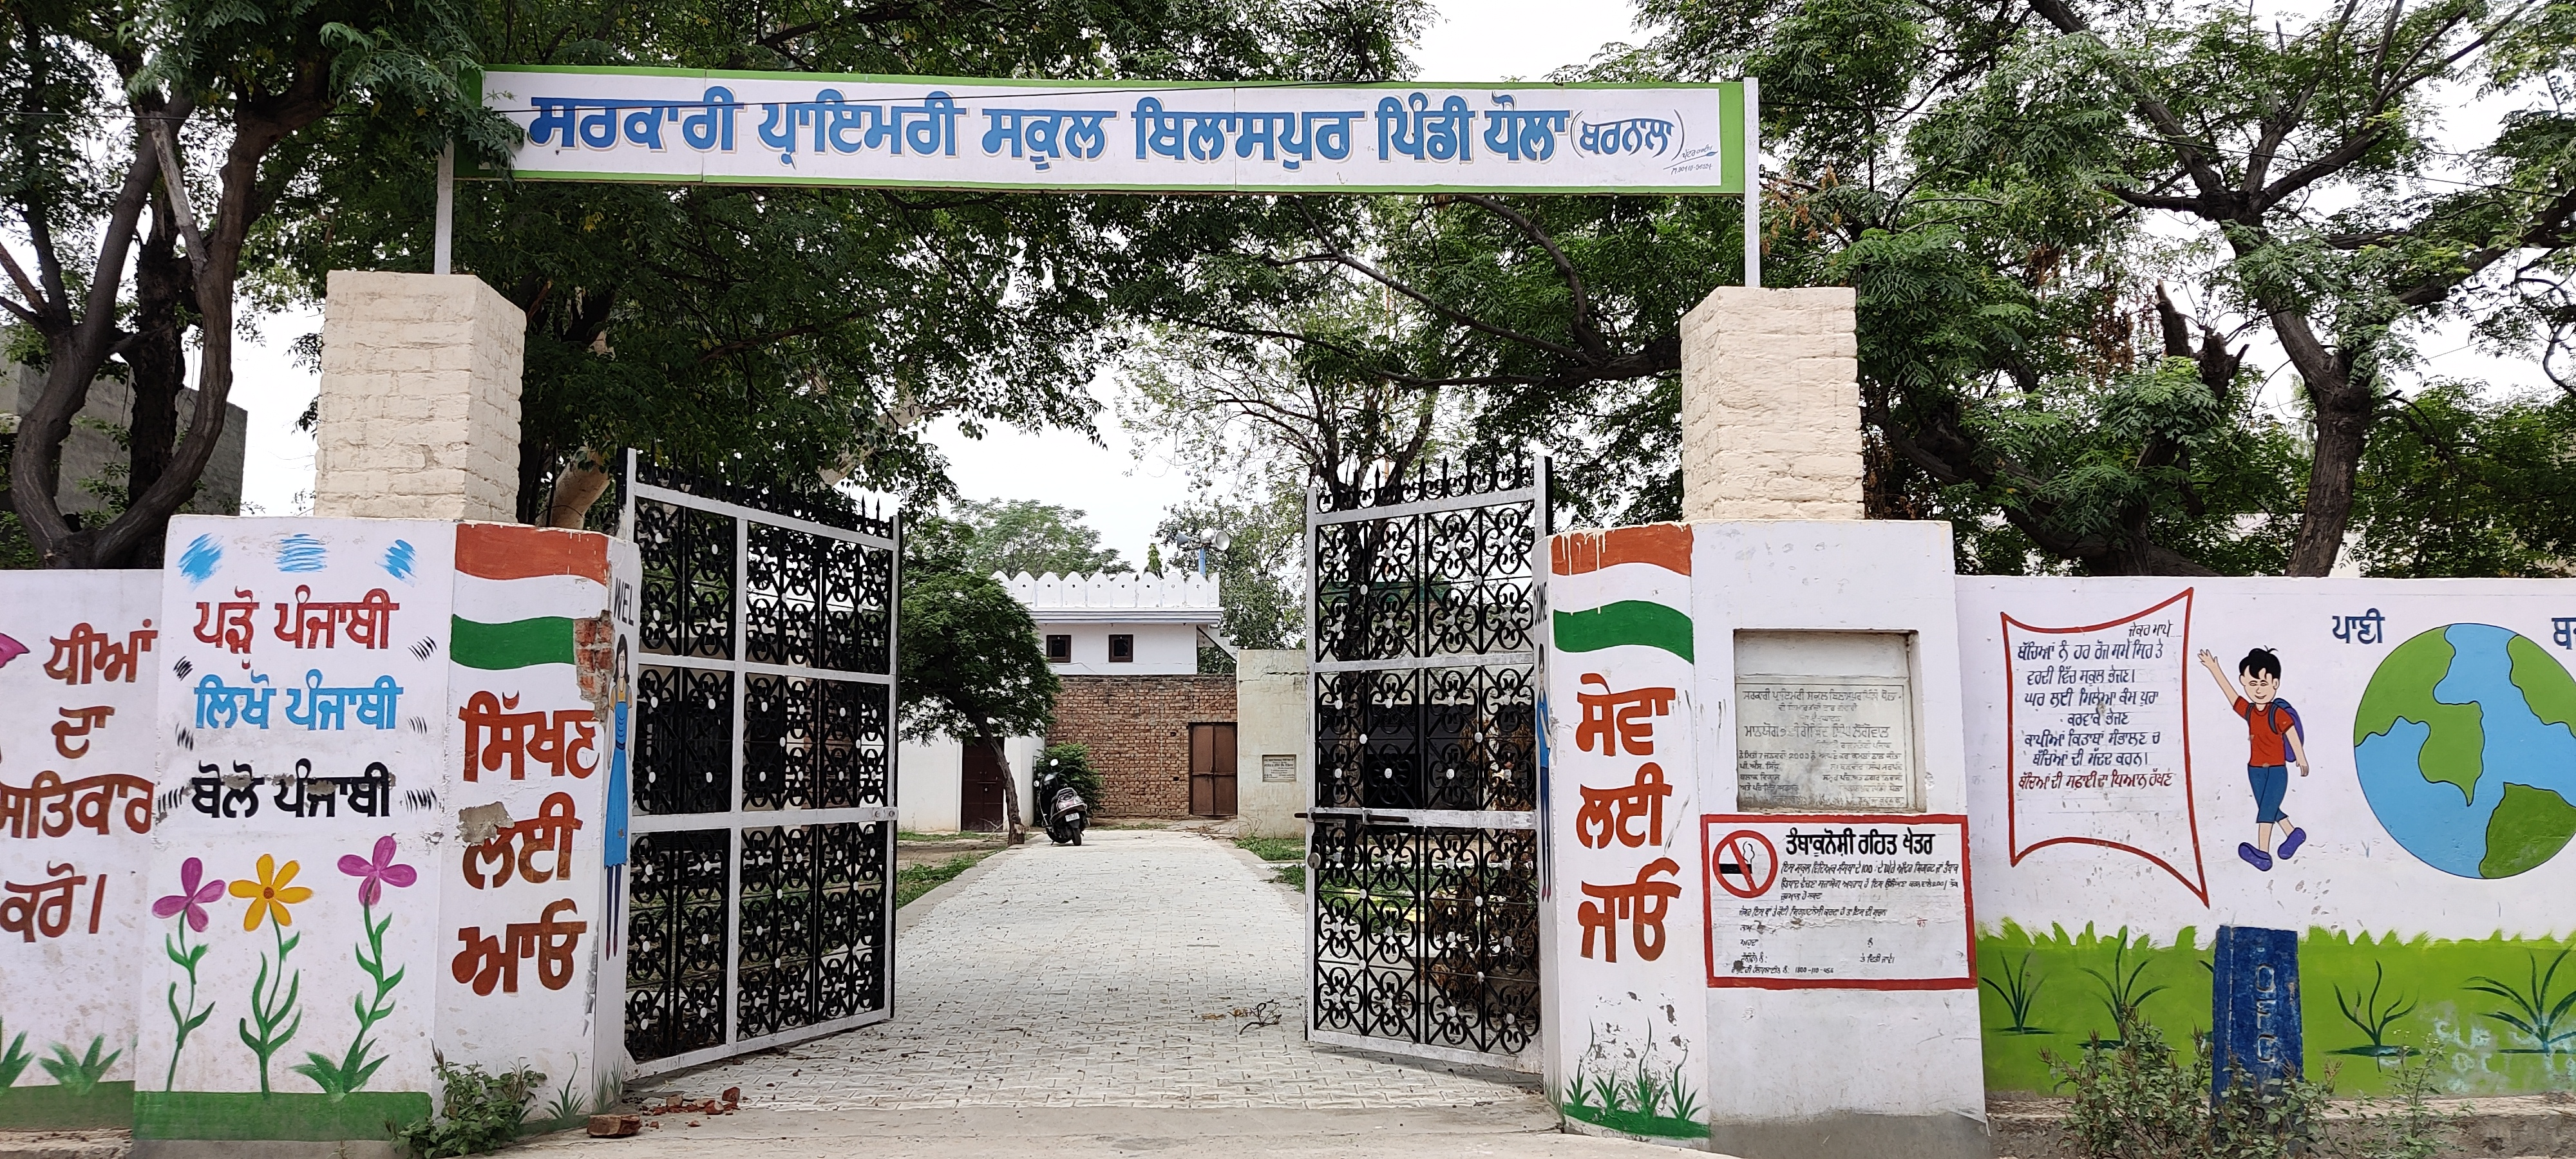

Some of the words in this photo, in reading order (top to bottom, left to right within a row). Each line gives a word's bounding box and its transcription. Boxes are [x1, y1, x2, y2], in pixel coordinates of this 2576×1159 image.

[521, 80, 753, 162] ਸਰਕਾਰੀ
[746, 82, 974, 174] ਪ੍ਰਾਇਮਰ
[969, 98, 1121, 179] ਸਕੂਲ
[1122, 92, 1369, 173] ਬਿਲਾਸਪਰ
[1368, 87, 1482, 179] ਪਿੰਡੀ
[1481, 86, 1577, 171] ਧੌਲਾ
[1575, 113, 1679, 160] ਬਰਨਾਲਾ
[187, 583, 266, 672] ਪੜ੍ਹੋ
[266, 578, 401, 657] ਪੰਜਾਬੀ
[2125, 619, 2153, 639] ਜੇਕਰ
[2150, 618, 2178, 637] ਮਾਪੇ
[2325, 594, 2395, 656] ਪਾਣੀ
[2548, 605, 2575, 658] ਬ
[40, 609, 162, 692] ਧੀਆਂ
[2013, 636, 2058, 664] ਬੱਹਿਆਂ
[2056, 636, 2074, 663] ਨੰ
[2070, 638, 2094, 662] ਹਰ
[2092, 636, 2112, 661] ਰੋਜ
[2109, 636, 2133, 660] ਸਮੇਂ
[2131, 637, 2156, 660] ਸਿਰ
[2152, 637, 2165, 661] ਤੇ
[2022, 663, 2056, 688] ਵਰਦੀ
[2056, 663, 2079, 688] ਵਿੱਰ
[2078, 665, 2107, 688] ਸਕੂਲ
[2107, 662, 2132, 686] ਭੇਜਣ
[189, 667, 287, 739] ਲਿਖੋ
[280, 664, 410, 736] ਪੰਜਾਬੀ
[1566, 662, 1685, 760] ਸੇਵਾ
[2022, 688, 2047, 711] ਘਰ
[2047, 685, 2076, 713] ਲਈ
[2065, 706, 2105, 728] ਕਰਵਾਕੇ
[2074, 686, 2119, 710] ਮਿਲੇਾਆ
[2104, 707, 2132, 727] ਭੇਜਣ
[2118, 686, 2139, 708] ਕੰਸ
[2136, 688, 2162, 710] ਪੂਰਾ
[47, 699, 120, 767] ਦਾ
[452, 683, 607, 791] ਸਿੱਖਣ
[2020, 728, 2067, 749] ਕਾਪੀਆ
[2065, 728, 2108, 746] ਕਿਤਾਬਾਂ
[2104, 726, 2149, 749] ਸੰਭਾਲਣ
[2150, 728, 2163, 746] ਚ
[2027, 747, 2069, 769] ਬੱਚਿਂਆਂ
[2069, 746, 2088, 768] ਦੀ
[2086, 745, 2114, 767] ਸੱਦਦ
[2114, 748, 2146, 768] ਕਹਨ
[187, 751, 270, 825] ਬੋਲੋ
[269, 753, 400, 824] ਪੰਜਾਬੀ
[2016, 769, 2054, 795] ਥੱਦਿਆਂ
[2049, 769, 2067, 795] ਦੀ
[2063, 767, 2110, 792] ਸਫ਼ਾਈਦਾ
[2109, 767, 2150, 793] ਧਿਆਨ
[2148, 764, 2177, 792] ਰੱਖਣ
[1, 766, 155, 849] ਤਿਕਾਰ
[1556, 760, 1691, 863] ਲਈ
[453, 789, 595, 902] ਲਈ
[1780, 824, 1859, 860] ਤੰਬਾਕੂਨੇਸ਼ੀ
[1857, 823, 1902, 857] ਰਹਿਤ
[1900, 822, 1940, 857] ਖੇਤਰ
[1, 858, 91, 948] ਕਰੋ
[1566, 851, 1700, 975] ਜਾਓ
[437, 889, 596, 1004] ਆਓ